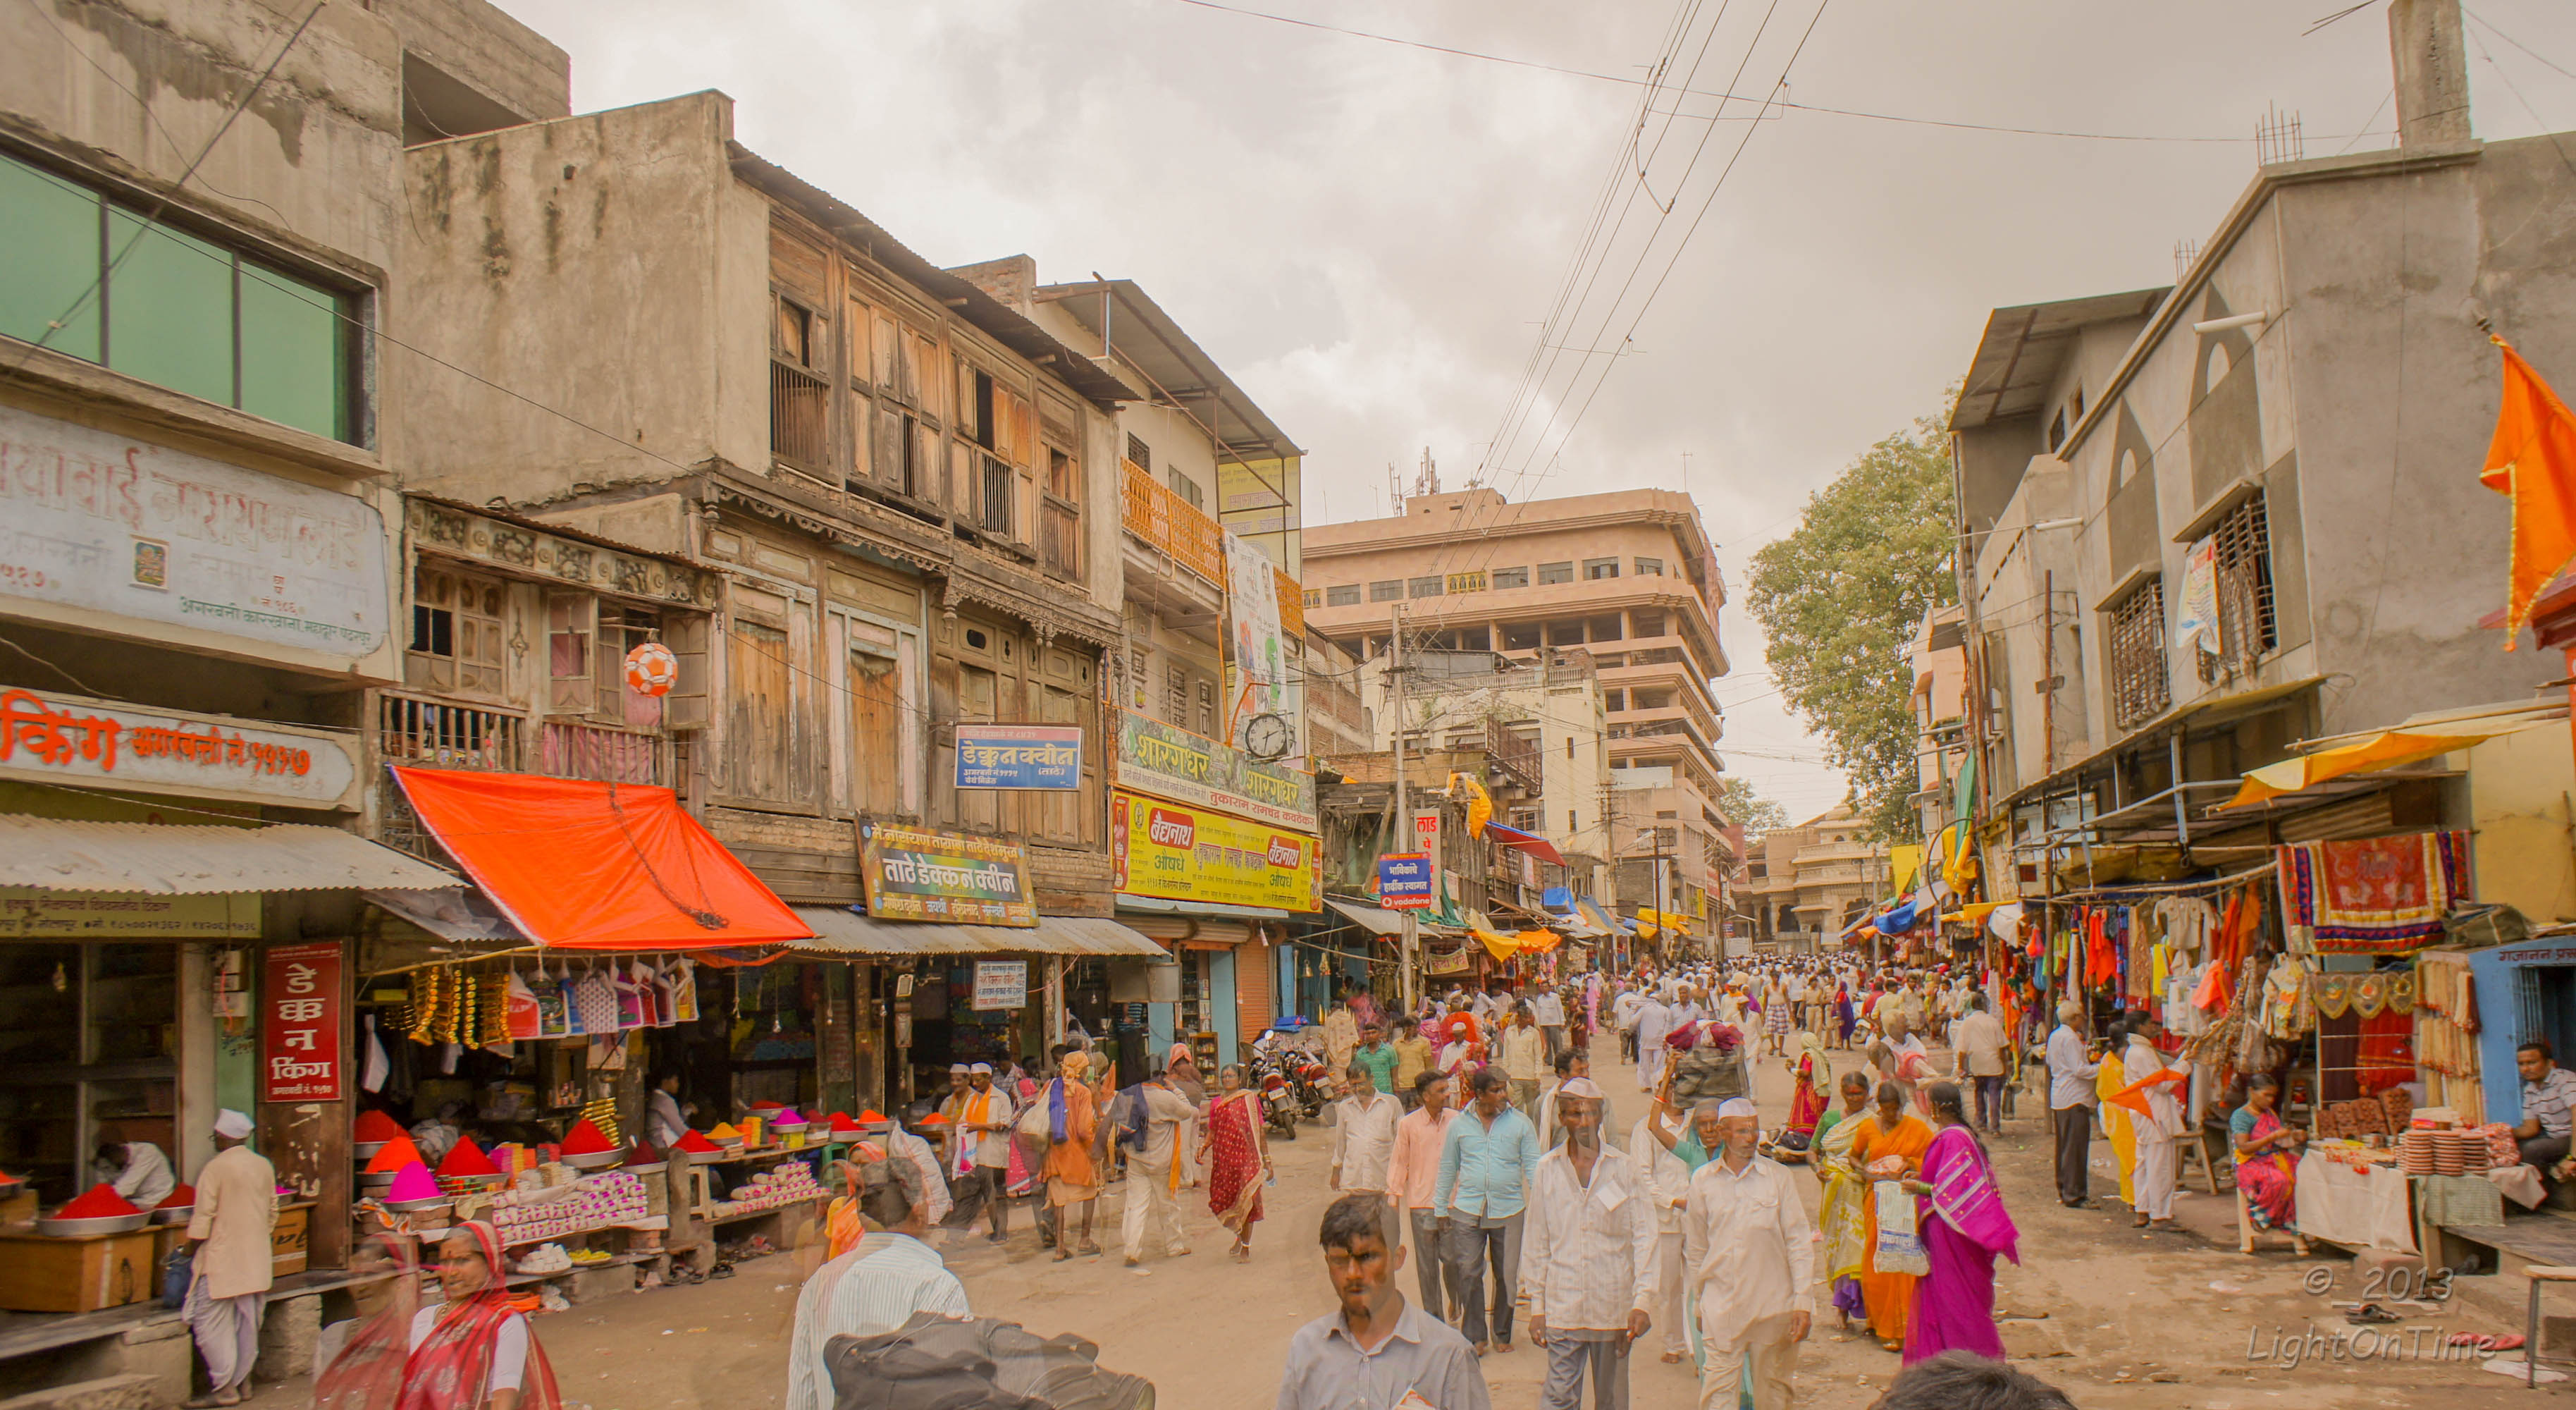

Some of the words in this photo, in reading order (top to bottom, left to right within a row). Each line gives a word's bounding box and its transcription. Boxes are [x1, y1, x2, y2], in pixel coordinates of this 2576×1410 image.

[1, 683, 126, 774] किंग
[129, 721, 229, 768] अगरबत्ती
[250, 737, 314, 781] १५१७
[959, 735, 1021, 771] डेक्कन
[1019, 736, 1079, 770] क्वीन
[1034, 764, 1064, 778] ताठे
[1133, 730, 1213, 787] शारंगधर
[866, 820, 931, 848] मे.नारायण
[879, 849, 923, 886] ताठे
[880, 890, 925, 914] गणेशदर्शन
[924, 894, 950, 918] जयश्री
[911, 849, 978, 890] डेक्कन
[946, 893, 987, 920] हरिप्रसाद
[963, 833, 986, 857] ताटे
[978, 898, 1009, 920] सरस्वती
[973, 860, 1018, 893] क्वीन
[978, 835, 1021, 866] देशमुख
[1151, 847, 1189, 875] औषधे
[1147, 805, 1198, 848] बैद्यनाथ
[1192, 838, 1228, 873] तुकाराम
[1209, 789, 1252, 811] तुकाराम
[1221, 842, 1246, 869] रामचंद्र
[1250, 800, 1283, 823] रामचंद
[1241, 766, 1305, 812] शारंगधर
[1265, 868, 1296, 892] औषधे
[1267, 832, 1306, 871] बैद्यनाथ
[1281, 808, 1319, 830] कवठेकर
[1382, 874, 1408, 896] हार्दीक
[1386, 858, 1420, 878] भाविकांचे
[1391, 893, 1433, 908] vodafone
[1403, 876, 1429, 897] स्वागत
[1412, 813, 1441, 837] लाड
[275, 955, 329, 1057] डेक्कन
[263, 1050, 331, 1085] किंग